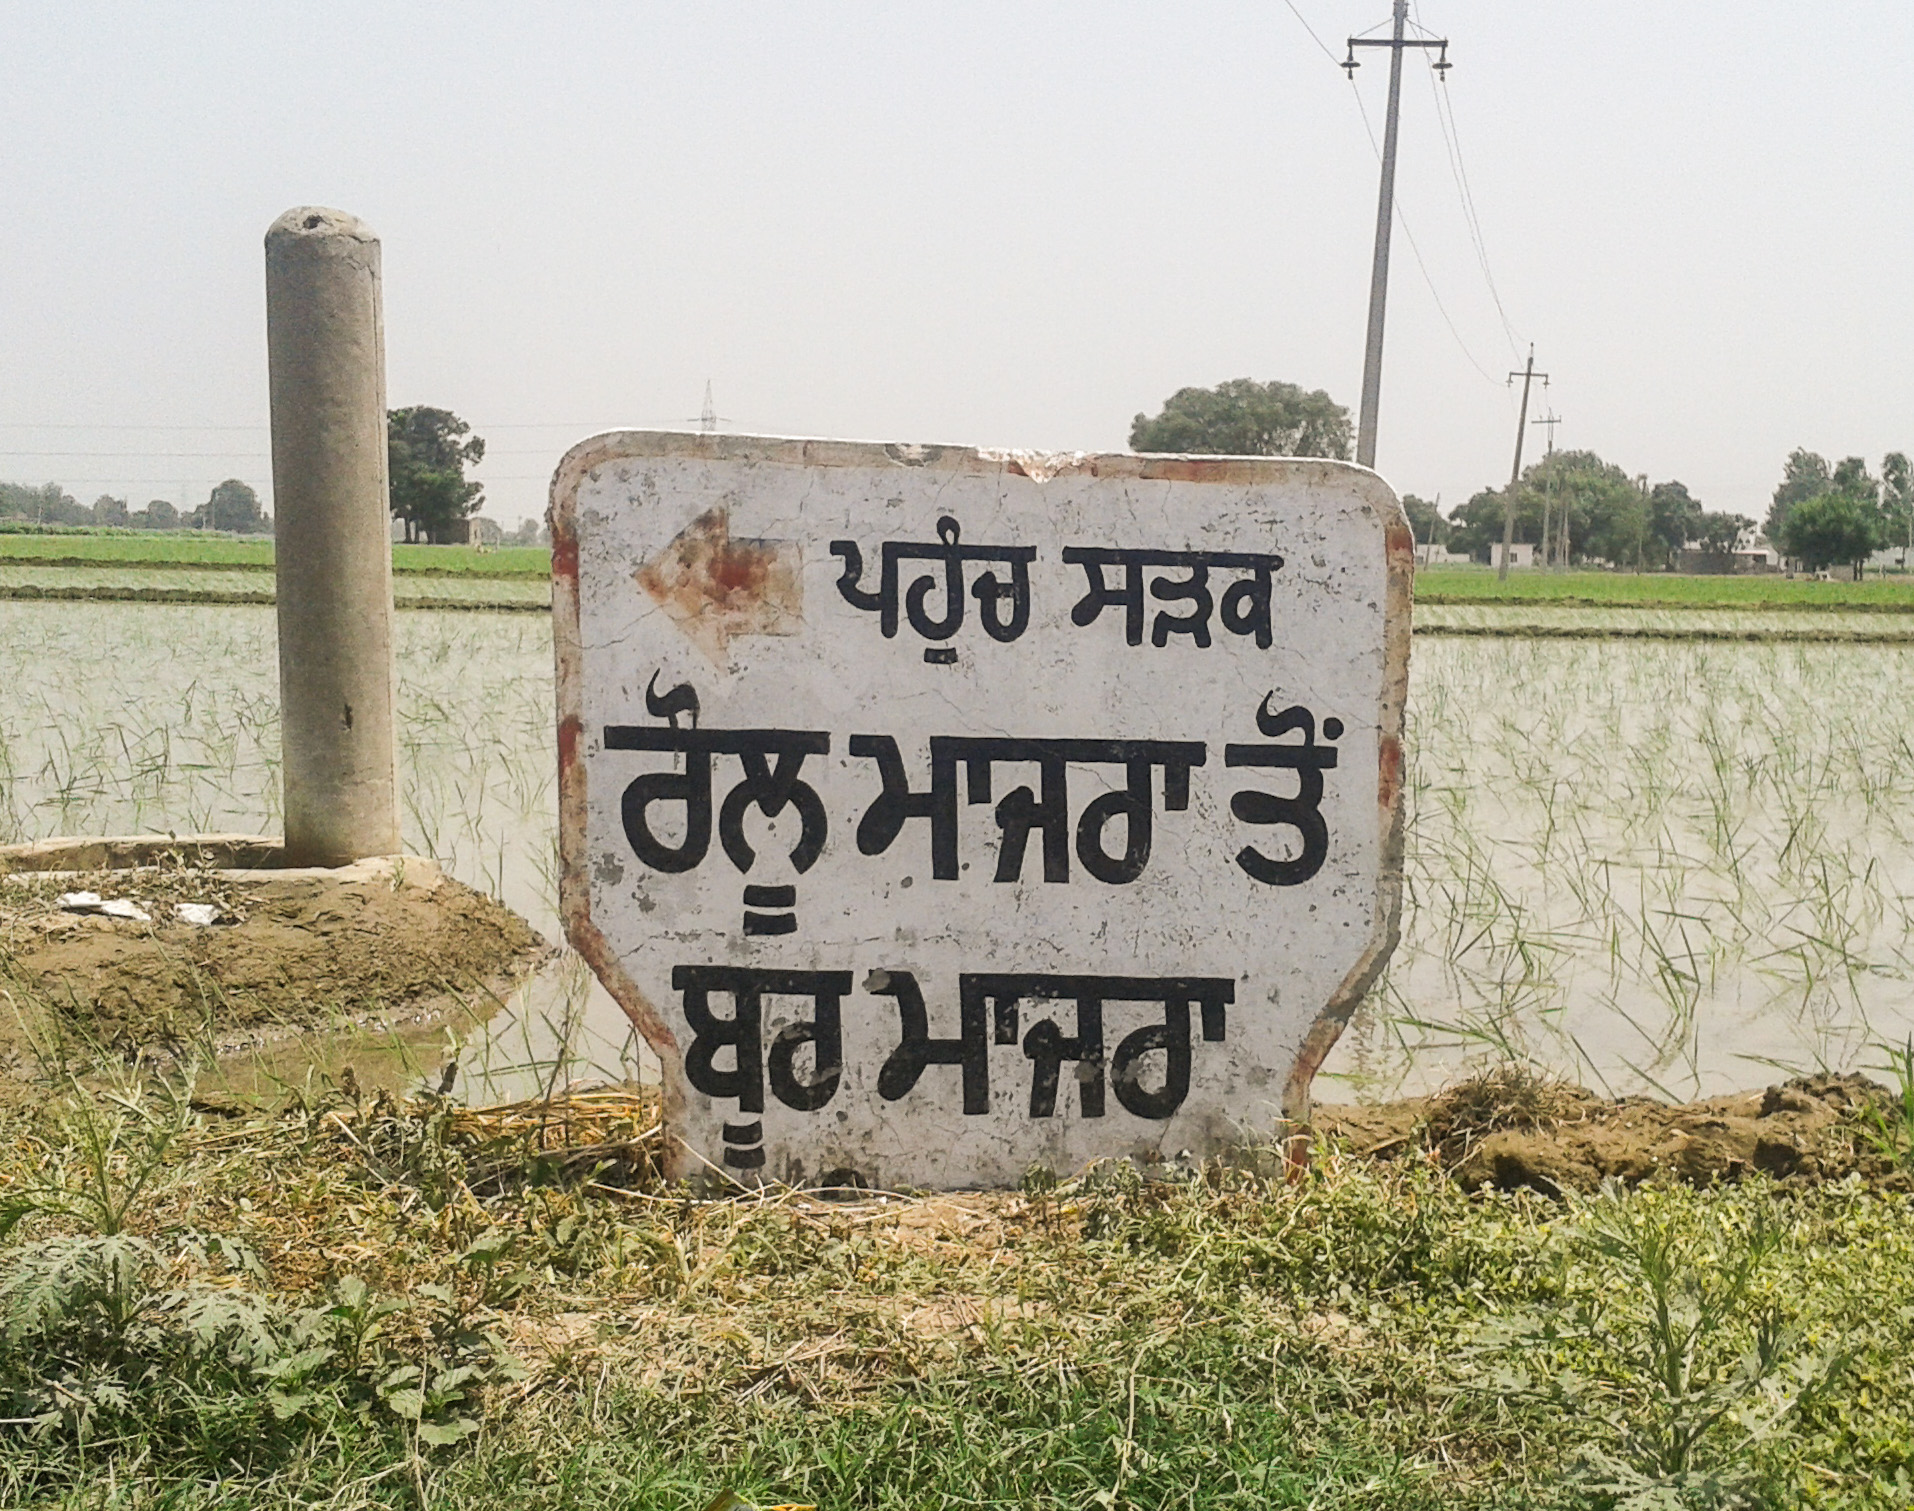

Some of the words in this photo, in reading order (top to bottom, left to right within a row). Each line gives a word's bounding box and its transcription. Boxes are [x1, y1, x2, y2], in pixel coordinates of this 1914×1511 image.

[812, 511, 1046, 672] ਪਹੁੰਚ
[1046, 519, 1301, 664] ਸੜਕ
[568, 660, 841, 950] ਰੋਲੂ
[828, 713, 1216, 913] ਮਾਜਰਾ
[1208, 683, 1361, 898] ਤੋਂ
[654, 948, 858, 1178] ਬੂਰ
[857, 946, 1250, 1138] ਮਾਜਰਾ